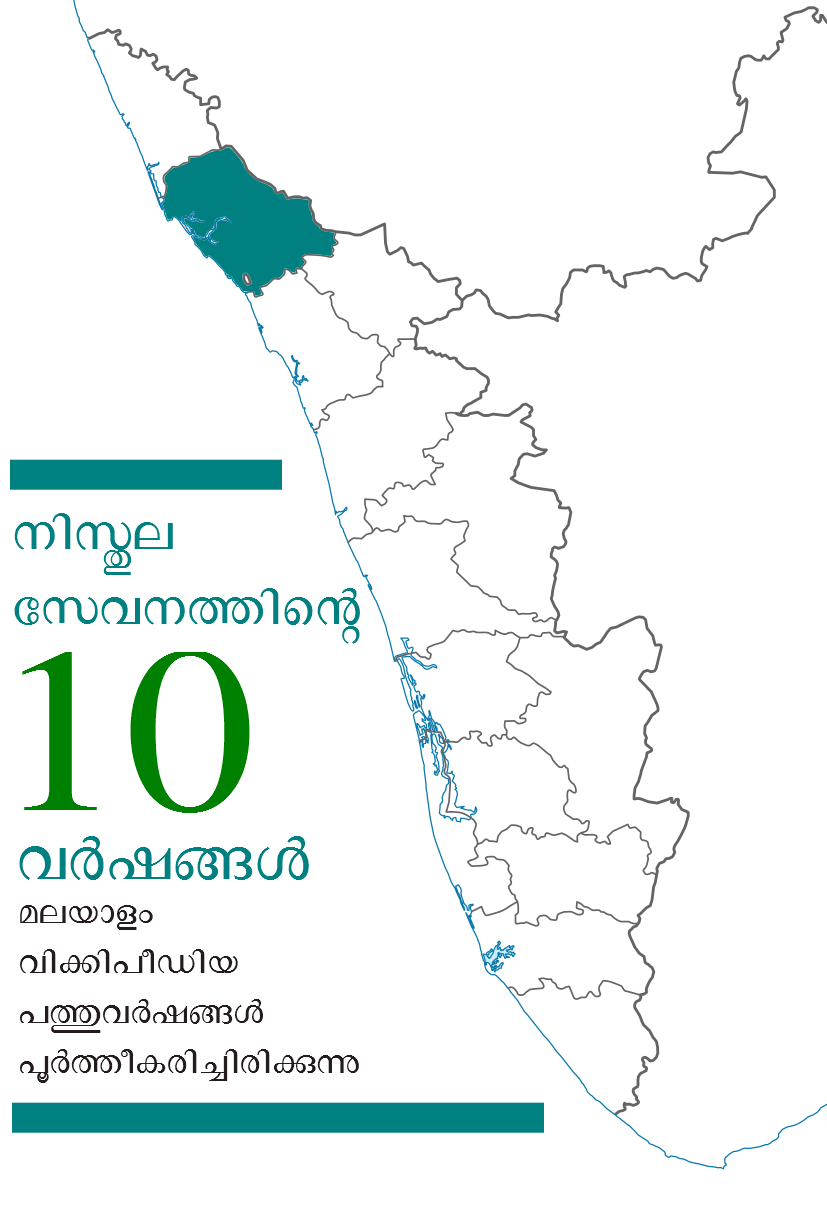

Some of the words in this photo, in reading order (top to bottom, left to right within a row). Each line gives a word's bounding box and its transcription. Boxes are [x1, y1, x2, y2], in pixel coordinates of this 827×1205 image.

[2, 497, 181, 584] നിസ്തുല
[5, 582, 371, 649] സേവനത്തിന്റെ
[16, 639, 256, 822] 10
[12, 827, 317, 891] വ‌ർഷങ്ങൾ
[12, 898, 158, 936] മലയാളം
[13, 939, 245, 980] വിക്കിപീഡിയ
[10, 993, 269, 1043] പത്തുവർഷങ്ങൾ
[14, 1044, 368, 1086] പൂർത്തീകരിച്ചിരിക്കുന്നു